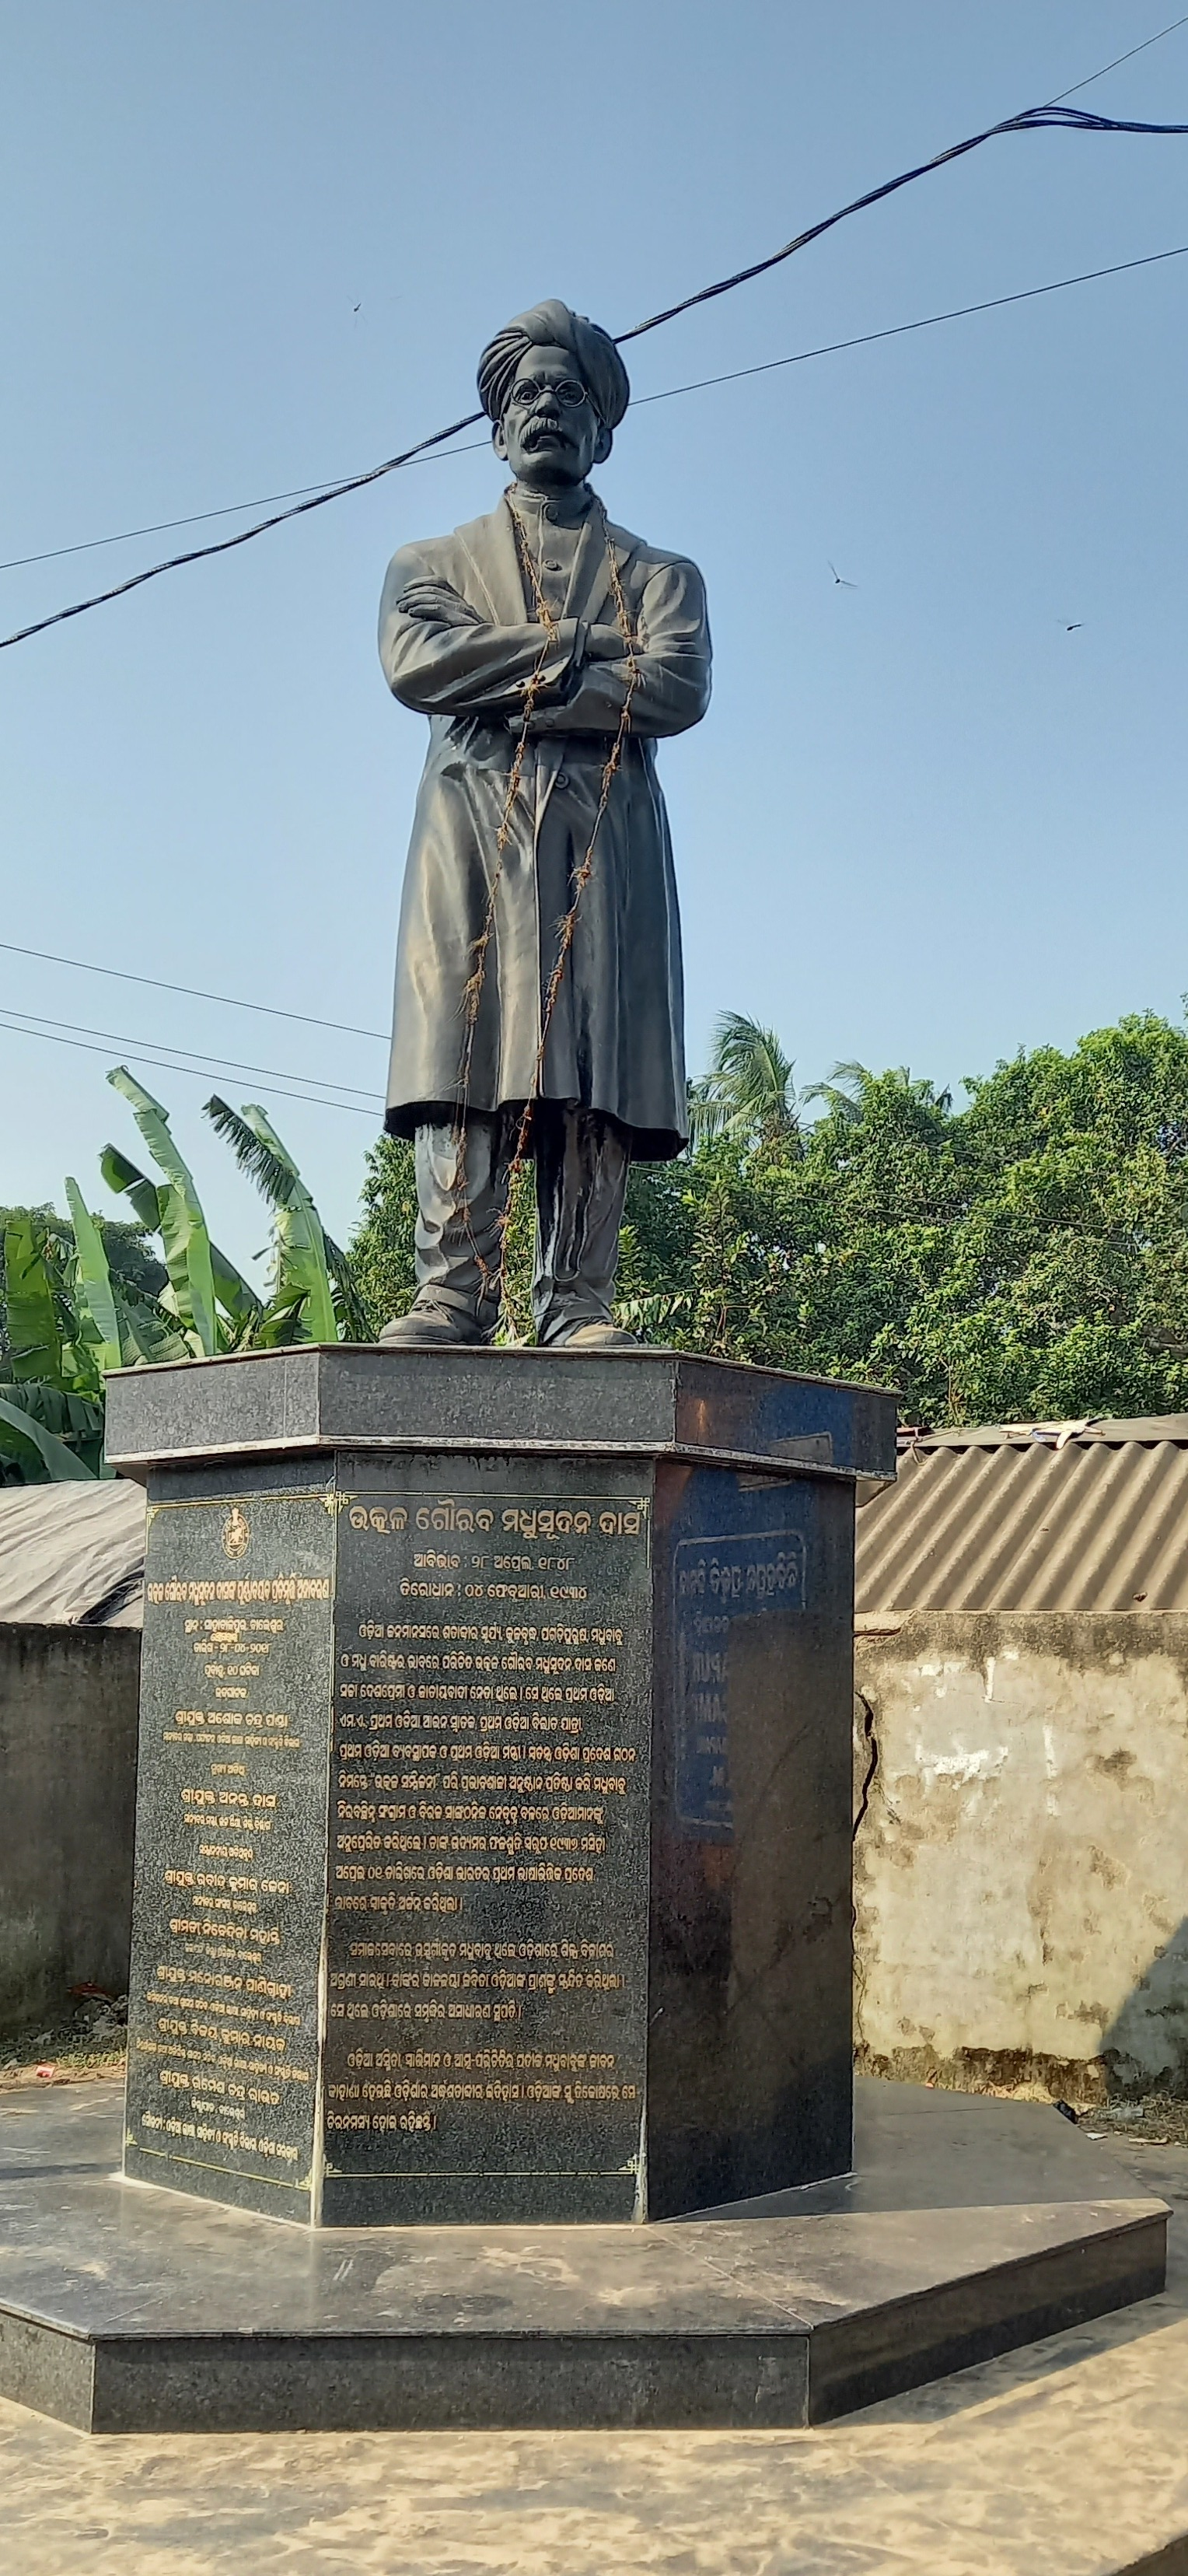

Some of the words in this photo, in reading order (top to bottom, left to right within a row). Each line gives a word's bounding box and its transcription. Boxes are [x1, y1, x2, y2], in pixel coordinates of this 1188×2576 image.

[347, 1501, 413, 1538] ଉତ୍କଳ
[411, 1494, 498, 1534] ଗୌରବ
[498, 1504, 597, 1543] ମଧୁସୂଦନ
[596, 1505, 645, 1538] ଦାସ
[410, 1544, 465, 1572] ଆବିର୍ଭାବ
[466, 1549, 539, 1577] ୨୮ ଅପ୍ରେଲ
[533, 1555, 581, 1572] ୧୮୪୮
[397, 1572, 457, 1600] ତିରୋଧାନ
[462, 1580, 549, 1603] ୦୪ ଫେବୃଆରୀ,
[546, 1581, 592, 1601] ୧୯୩୪
[354, 1615, 391, 1642] ଓତ଼ିଆ
[385, 1621, 444, 1642] ଜନମାନସରେ
[441, 1620, 482, 1642] ଶତାବ୍ଦୀର
[478, 1619, 505, 1647] ସୂର୍ଯ୍ୟ
[501, 1621, 542, 1649] କୁଳବୃଦ୍ଧ
[540, 1622, 592, 1647] ପଗଡ଼ିପୁରୁଷ
[587, 1626, 627, 1648] ମଧୁବାବୁ
[337, 1647, 407, 1673] ଓ ମଧୁ ବାରିଷ୍ଟର
[407, 1650, 442, 1671] ଭାବରେ
[440, 1648, 477, 1674] ପରିଚିତ
[472, 1653, 506, 1674] ଉତ୍କଳ
[498, 1648, 537, 1673] ଗୌରବ
[533, 1654, 575, 1679] ମଧୁସୂଦନ
[570, 1653, 623, 1676] ଦାସ ଜଣେ
[335, 1677, 410, 1704] ସଚ୍ଚା ଦେଶପ୍ରେମୀ
[405, 1681, 472, 1702] ଓ ଜାତୀୟବାଦୀ
[467, 1681, 523, 1703] ନେତା ଥିଲେ ।
[522, 1681, 568, 1706] ସେ ଥିଲେ
[563, 1682, 620, 1706] ପ୍ରଥମ ଓଡ଼ିଆ
[338, 1710, 370, 1731] ଏମ.ଏ.,
[369, 1709, 397, 1731] ପ୍ରଥମ
[394, 1706, 425, 1732] ଓତିଆ
[420, 1706, 451, 1732] ଆଇନ
[449, 1713, 481, 1735] ସ୍ନାତକ
[476, 1712, 505, 1734] ପ୍ରଥମ
[500, 1710, 534, 1734] ଓତିଆ
[559, 1712, 586, 1738] ଯାତ୍ରୀ
[334, 1740, 363, 1765] ପ୍ରଥମ
[360, 1737, 397, 1761] ଓଡ଼ିଥା
[387, 1740, 444, 1765] ବ୍ୟବସ୍ଥାପକ
[438, 1738, 478, 1763] ଓ ପ୍ରଥମ
[472, 1737, 502, 1766] ଓଡ଼ିଆ
[497, 1741, 556, 1766] ମନ୍ତ୍ରୀ I ସତନ୍ତ୍ର
[552, 1735, 583, 1762] ଓଡ଼ିଶା
[579, 1743, 617, 1765] ପ୍ରଦେଶ
[610, 1742, 641, 1765] ଗଠନ
[334, 1766, 377, 1791] ନିମନ୍ତେ
[372, 1769, 402, 1792] ଉତ୍କଳ
[397, 1766, 441, 1794] ସମ୍ମିଳନୀ
[438, 1767, 510, 1793] ପରି ପ୍ରଭାବଶାଳୀ
[506, 1769, 577, 1797] ଅନୁଷ୍ଠାନ ପ୍ରତିଷ୍ଠା
[571, 1769, 632, 1796] କରି ମଧୁବାବୁ
[334, 1796, 383, 1823] ନିରବଚ୍ଛିନ୍ନ
[378, 1797, 446, 1822] ସଂଗ୍ରାମ ଓ ବରଳ
[442, 1798, 491, 1821] ସାଙ୍ଗଠନିକ
[486, 1801, 554, 1829] ନେତୃତ୍ବ ବଳରେ
[549, 1803, 612, 1827] ଓଡ଼ିଆମାନଙ୍କୁ
[334, 1827, 387, 1856] ଅନୁପ୍ରେରିତ
[379, 1829, 427, 1853] କରିଥିଲେ ।
[450, 1830, 493, 1853] ଉଦ୍ୟମର
[483, 1829, 526, 1857] ଫଳଶ୍ରୁତି
[519, 1832, 582, 1857] ସରପ ୧୯୩୭
[576, 1831, 612, 1857] ମସିହା
[334, 1863, 371, 1881] ଅପ୍ରେଲ
[362, 1859, 428, 1882] ୦୧ ତାରିଖରେ
[425, 1857, 493, 1884] ଓଡ଼ିଶା ଭାରତର
[491, 1862, 520, 1885] ପ୍ରଥମ
[515, 1860, 568, 1884] ଭାଷାଭିତ୍ତିକ
[563, 1864, 598, 1887] ପ୍ରଦେଣ
[331, 1886, 399, 1917] ଭାବରେ ସାଇତି
[413, 1938, 461, 1964] ଉତ୍ସଗୀକୃତ
[455, 1939, 520, 1965] ମଧୁବାବୁ ଥିଲେ
[515, 1932, 562, 1959] ଓଡ଼ିଶାରେ
[557, 1935, 618, 1962] ଶିଳ୍ପ ବିକାଶର
[355, 1967, 425, 1992] ସାରଥା । ବାକର
[459, 1965, 529, 1992] କବିତା ଓଡ଼ିଆଙ୍କ
[525, 1967, 589, 1997] ପ୍ରାଣଙ୍କୁ ସ୍ପନ୍ଦିତ
[584, 1964, 629, 1995] କରିଥିଲା
[327, 1998, 374, 2026] ସେ ଥିଲେ
[368, 1997, 415, 2020] ଓଡ଼ିଶାରେ
[410, 1997, 449, 2023] ସମୃଦ୍ଧିର
[445, 1999, 519, 2024] ଅସାଧାରଣ ସୁପତି
[341, 2045, 379, 2070] ଓଡ଼ିଆ
[400, 2043, 444, 2071] ସାଭିମାନ
[450, 2044, 519, 2070] ଆମ୍ଭ-ପରିଚିତିର
[542, 2051, 593, 2077] ମଧୁବାବୁଙ୍କ
[588, 2050, 620, 2073] ଜୀବନ
[325, 2075, 396, 2102] କାହାଣୀ ହେଉଛି
[392, 2076, 432, 2104] ଓଡ଼ିଶାର
[428, 2077, 487, 2102] ଅଦ୍ଧଶତାବ୍ଦୀର
[524, 2079, 567, 2102] ଓଡ଼ିଆଙ୍କ
[557, 2079, 641, 2105] ସ୍ମ ତିକୋଷରେ ସେ
[324, 2106, 373, 2132] ଚିରନମସ୍ଯ
[397, 2109, 442, 2135] ରହିଛନ୍ତି ।